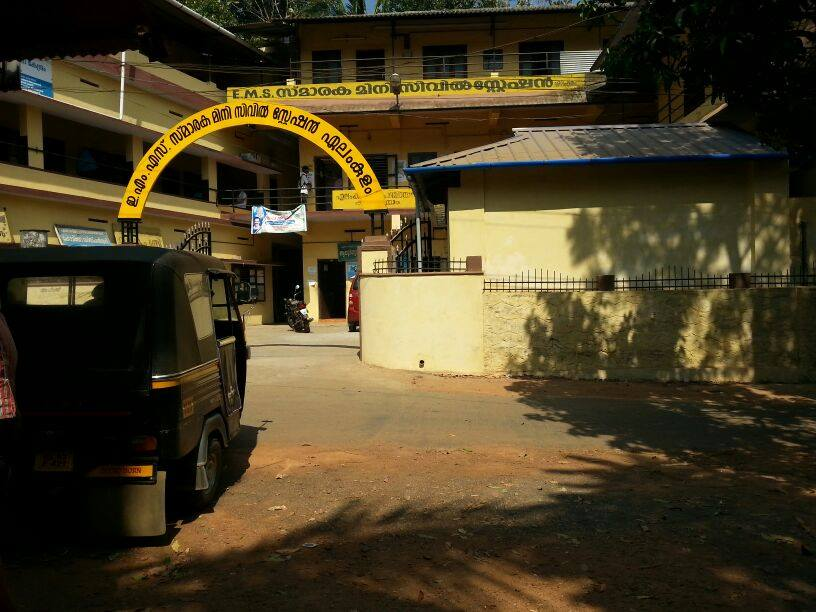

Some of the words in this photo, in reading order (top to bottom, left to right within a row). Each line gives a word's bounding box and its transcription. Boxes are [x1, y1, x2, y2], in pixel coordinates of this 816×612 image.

[227, 82, 278, 103] E.M.S.
[273, 81, 357, 103] സ്ഭാരക
[351, 73, 478, 99] മിനിസിവിൽ
[468, 71, 557, 96] സ്റ്റേഷൻ
[165, 107, 215, 153] സ്മാരക
[206, 99, 235, 130] മിനി
[229, 96, 273, 121] സീവിൽ
[270, 99, 323, 141] സ്റ്റേഷൻ
[141, 134, 177, 177] എസ്‌.
[319, 126, 379, 199] ഏലംകുളം
[121, 171, 151, 211] ഇ.എം